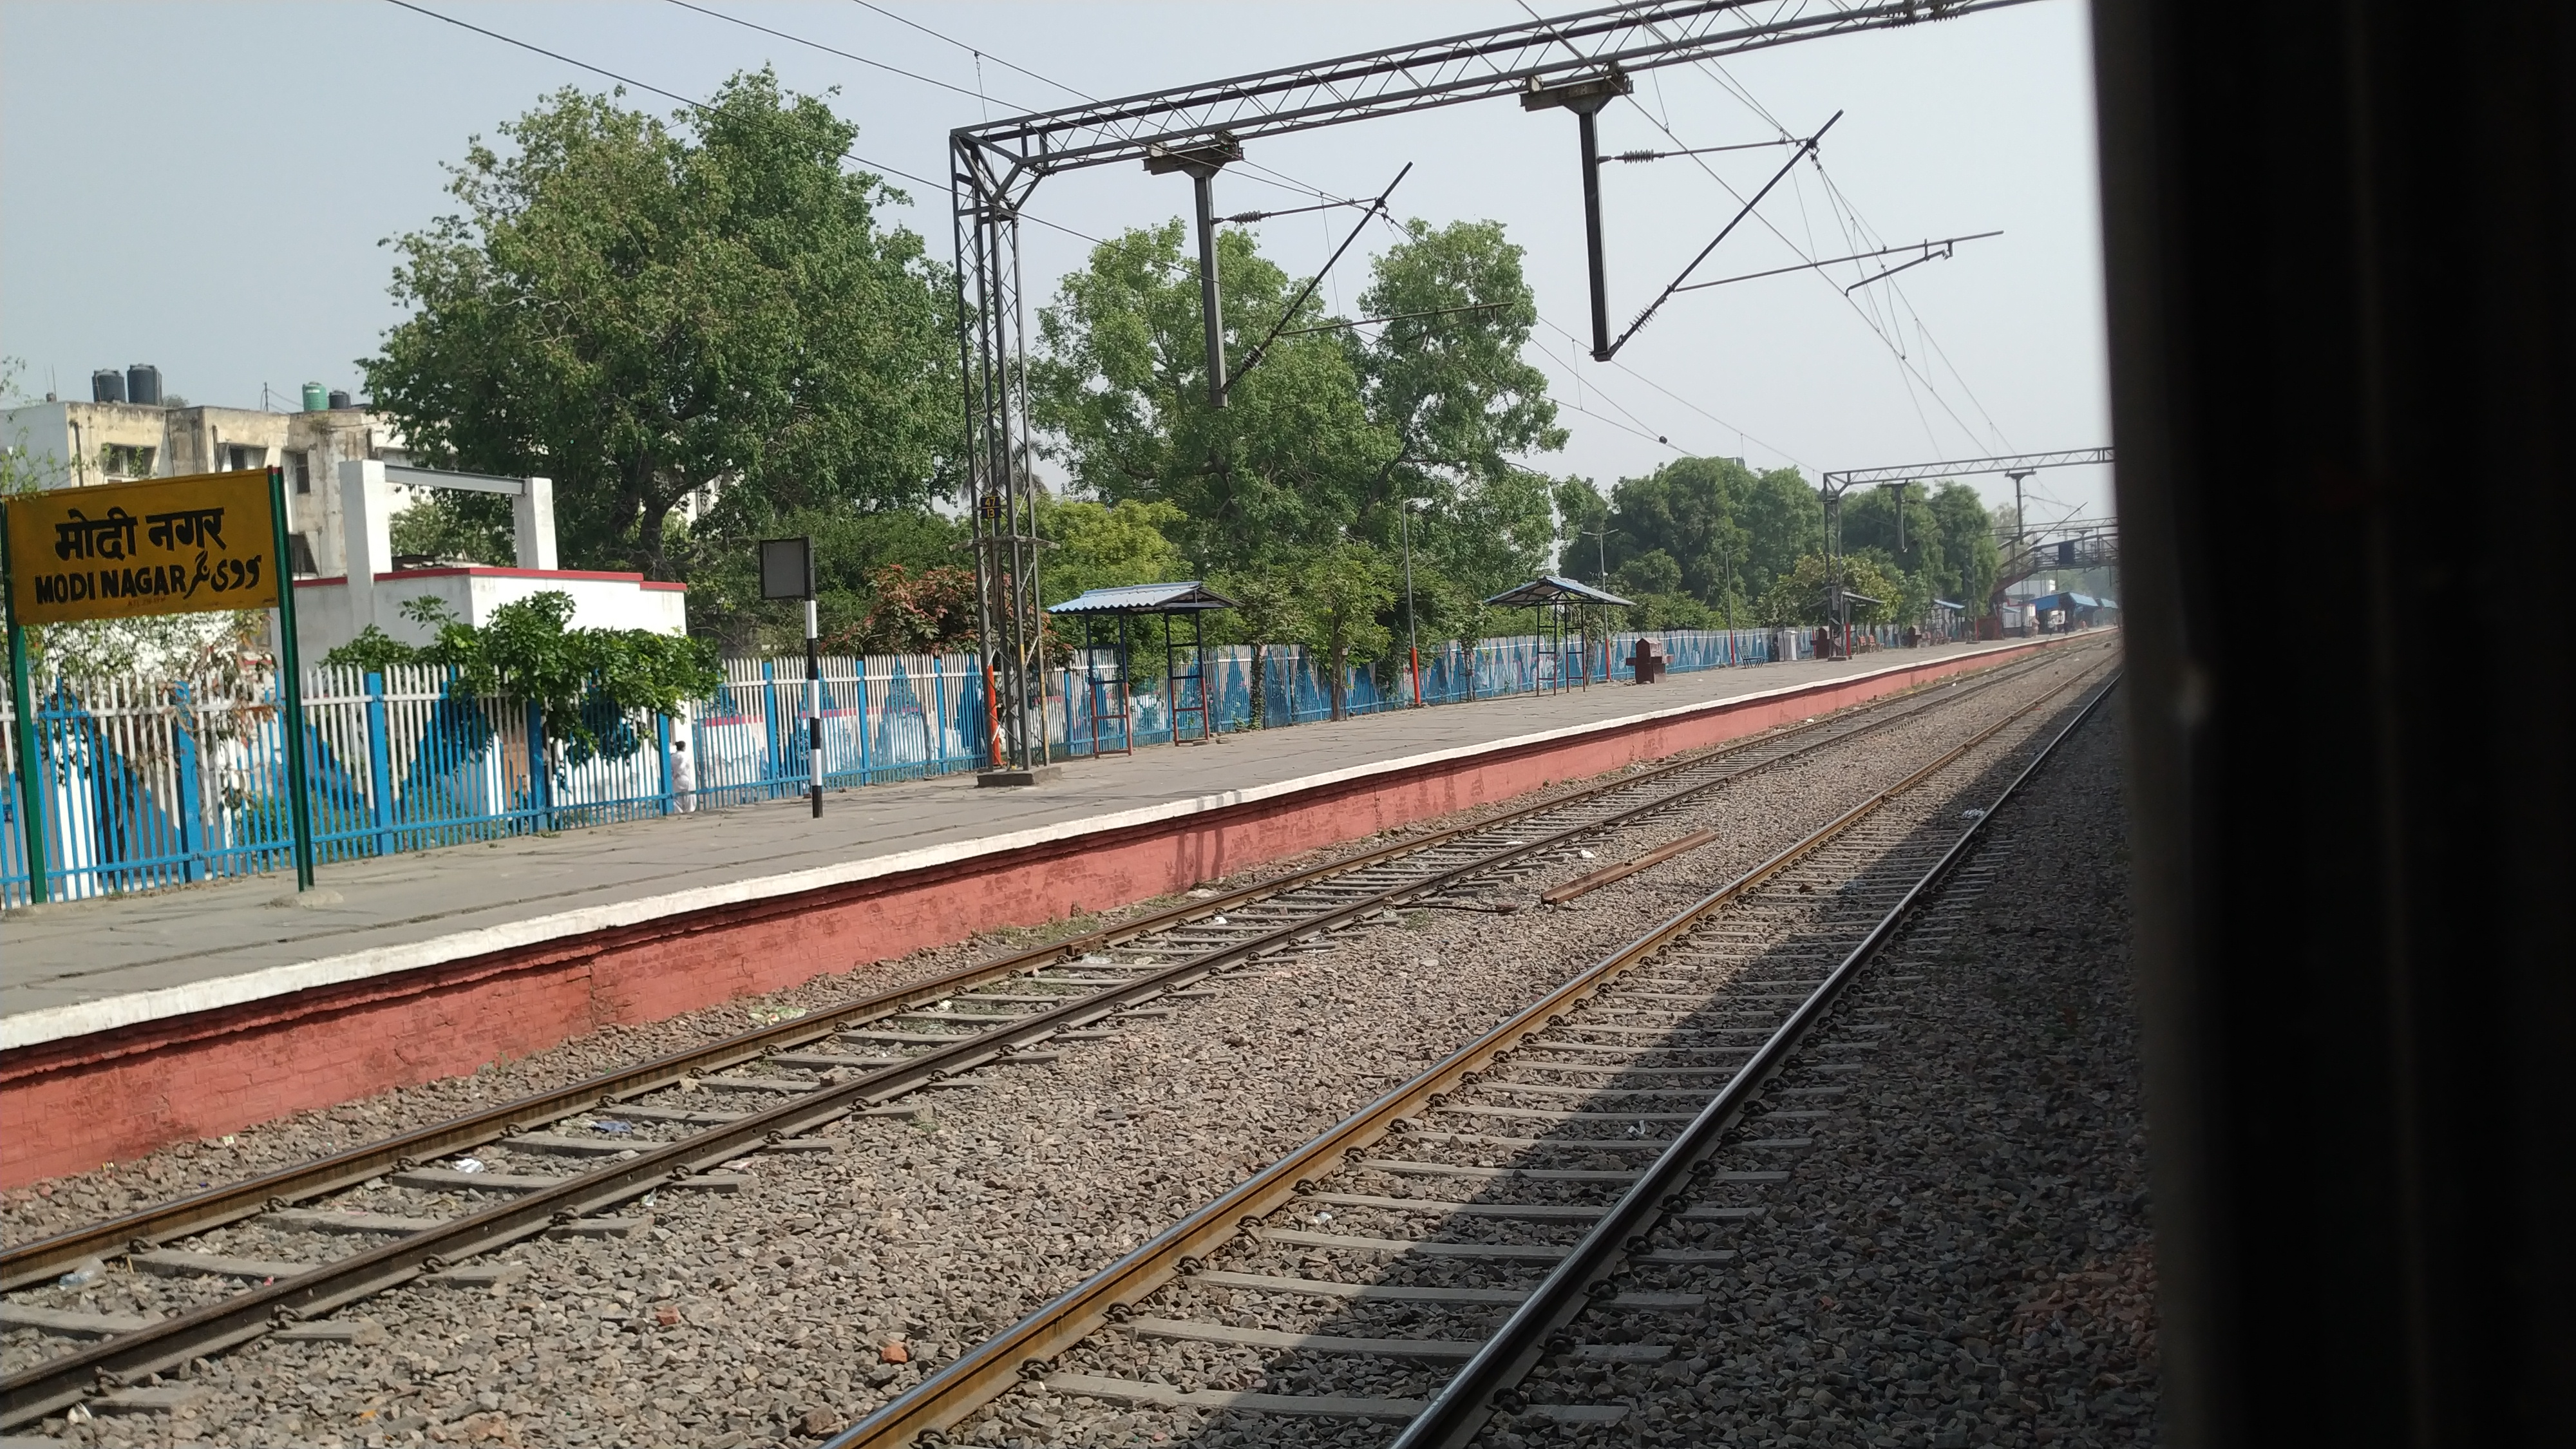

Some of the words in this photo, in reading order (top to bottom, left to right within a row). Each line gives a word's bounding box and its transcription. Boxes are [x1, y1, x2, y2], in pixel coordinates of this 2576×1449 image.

[52, 503, 139, 564] मोदी
[145, 504, 229, 566] नगर
[33, 570, 97, 605] MODI
[99, 563, 189, 601] NAGAR